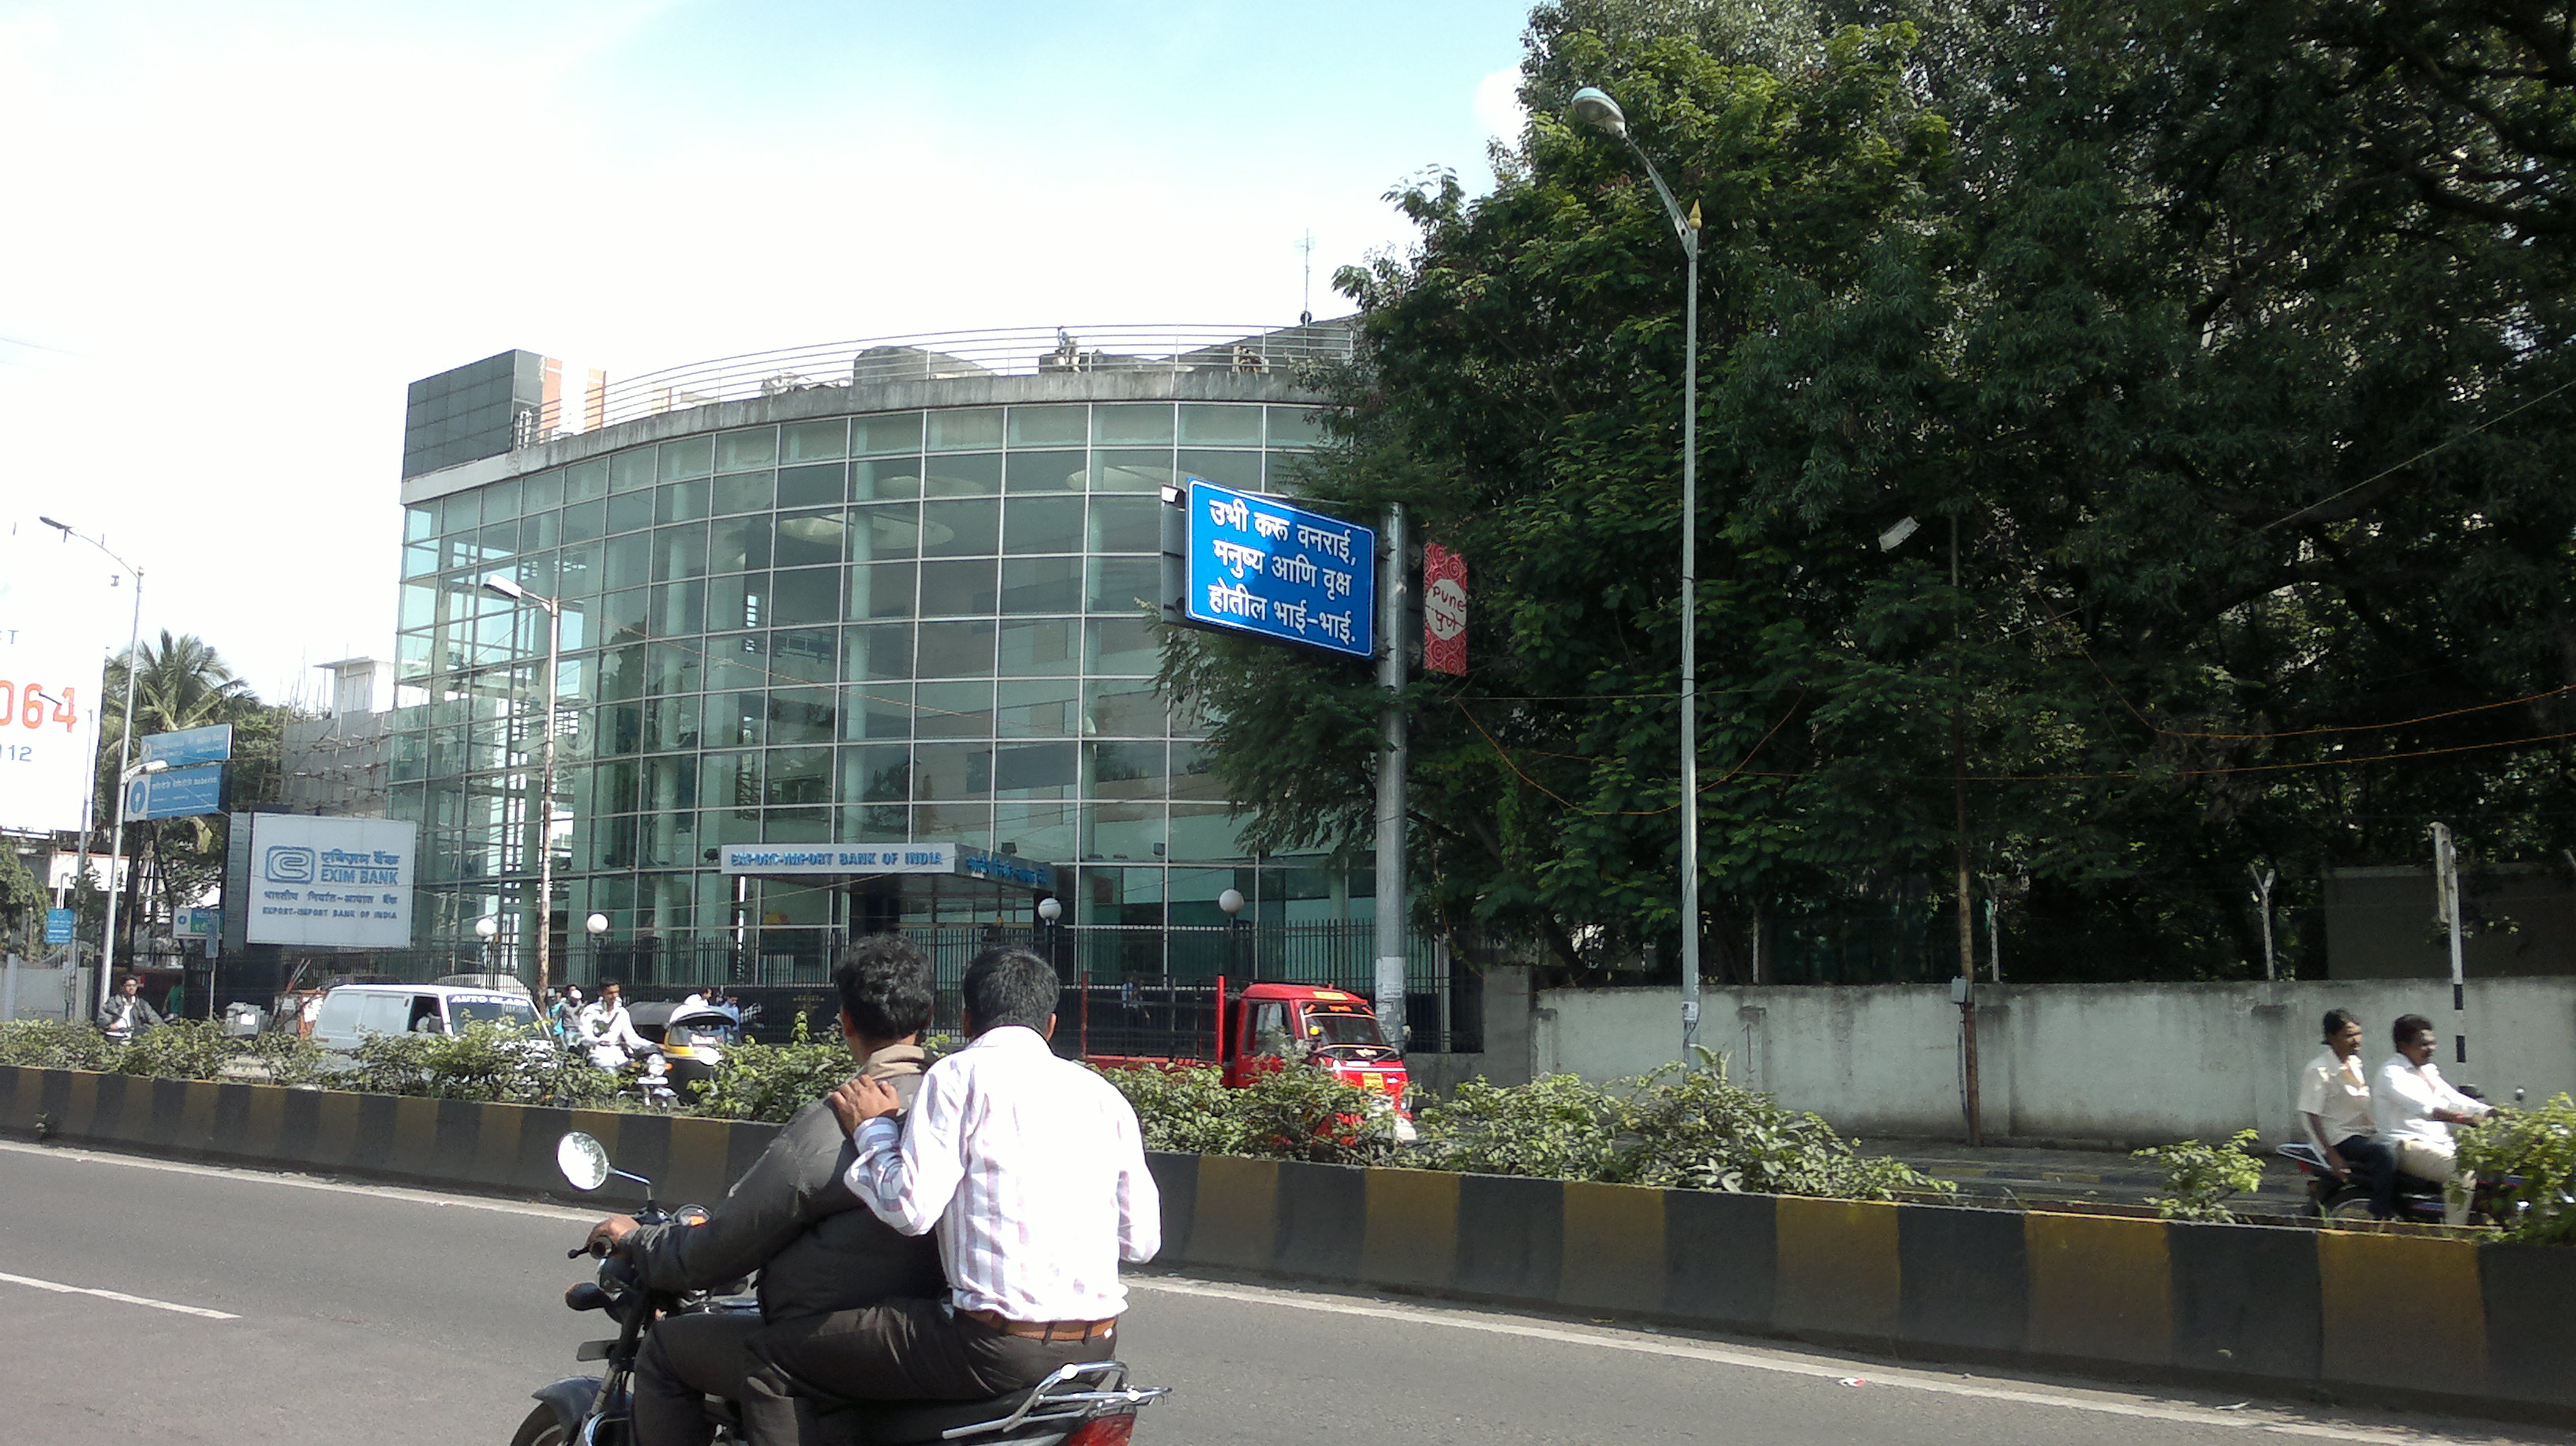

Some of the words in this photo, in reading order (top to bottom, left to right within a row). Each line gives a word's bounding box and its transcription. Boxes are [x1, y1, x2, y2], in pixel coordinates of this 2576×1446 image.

[1203, 495, 1253, 535] उभी
[1252, 508, 1294, 545] करू
[1293, 518, 1360, 567] वनराई,
[1208, 538, 1270, 583] मनुष्य
[1268, 546, 1320, 591] आणि
[1320, 559, 1358, 605] वृक्ष
[1204, 572, 1269, 629] होतील
[1430, 583, 1469, 617] pune
[1270, 592, 1361, 648] भाई-भाई.
[1431, 604, 1466, 637] पुण
[17, 676, 80, 738] 64
[6, 739, 36, 766] 12
[316, 845, 373, 867] एक्ज़िम
[371, 847, 402, 867] बैंक
[837, 847, 882, 868] BANK
[880, 847, 900, 870] OF
[902, 847, 946, 868] INDIA
[316, 866, 358, 886] EXIM
[358, 868, 402, 890] BANK